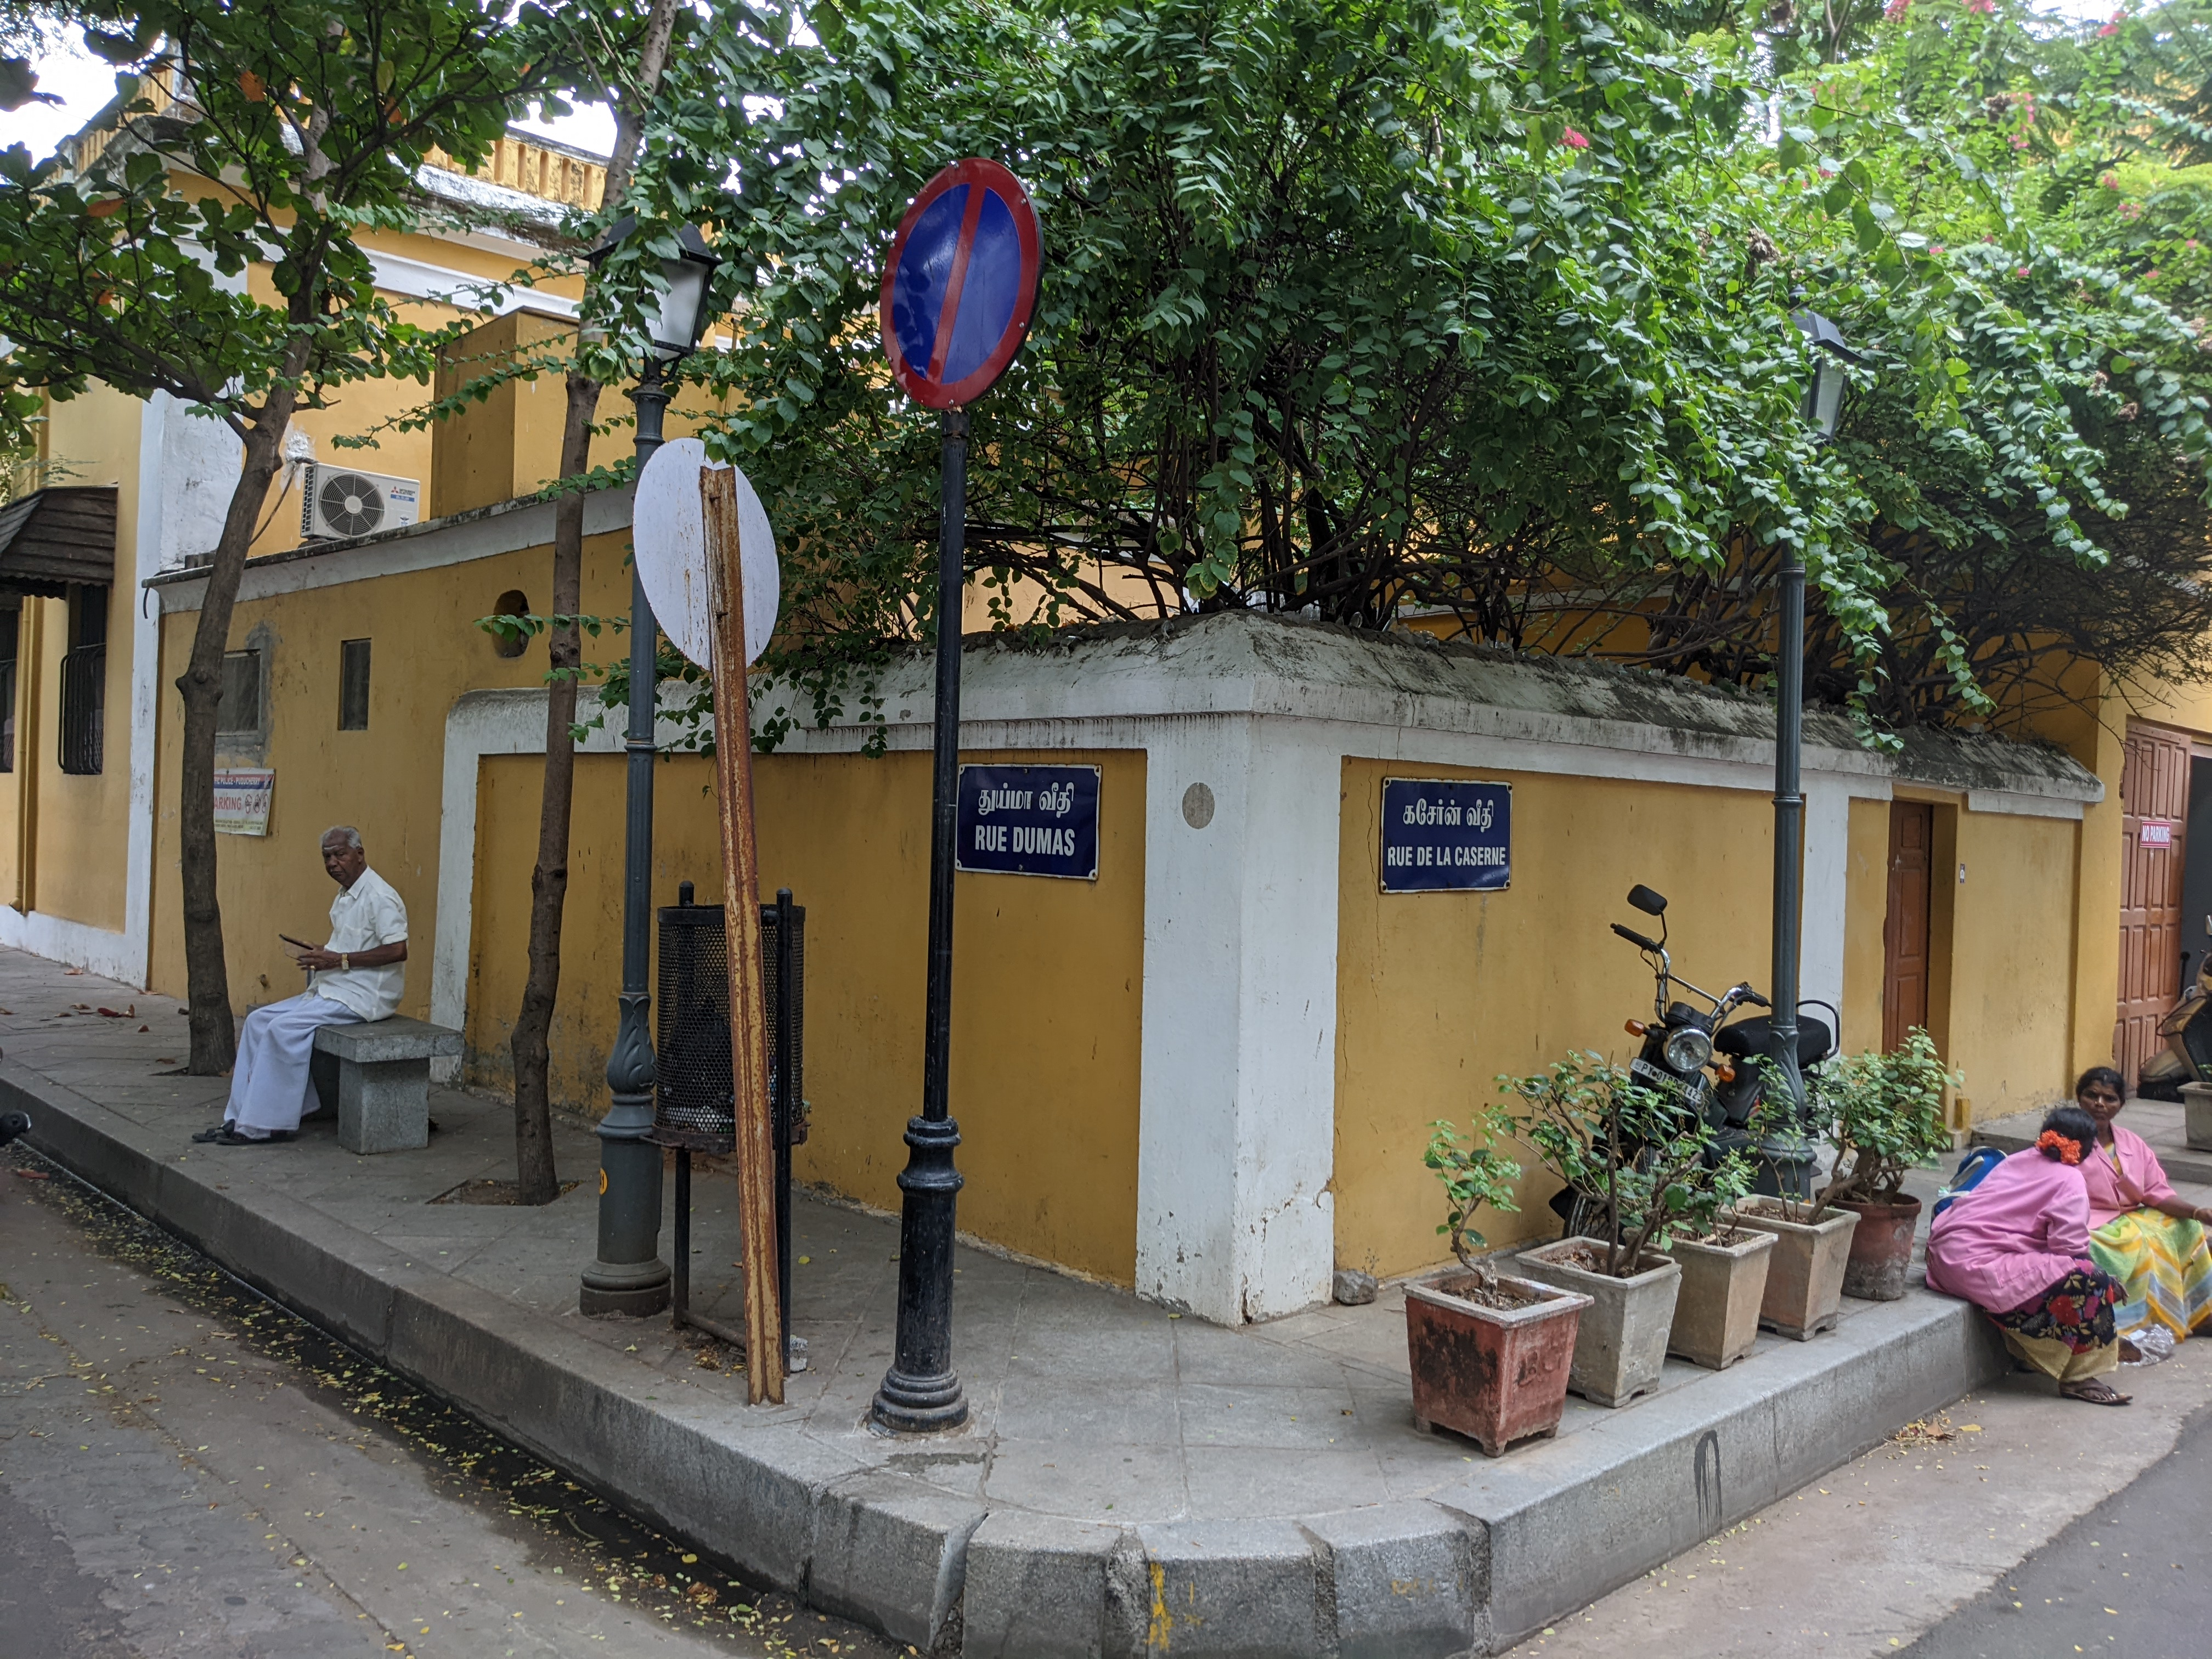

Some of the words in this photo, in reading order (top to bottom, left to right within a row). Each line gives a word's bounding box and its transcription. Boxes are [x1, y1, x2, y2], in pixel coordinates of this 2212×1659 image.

[974, 775, 1038, 822] துய்மா
[1030, 775, 1080, 824] வீதி
[1396, 793, 1464, 831] கசோ்ன்
[1463, 794, 1497, 836] வீதி
[970, 821, 1008, 855] RUE
[1002, 822, 1077, 864] DUMAS
[1384, 843, 1415, 868] RUE
[1414, 844, 1436, 869] DE
[1435, 843, 1454, 871] LA
[1453, 842, 1509, 868] CASERNE